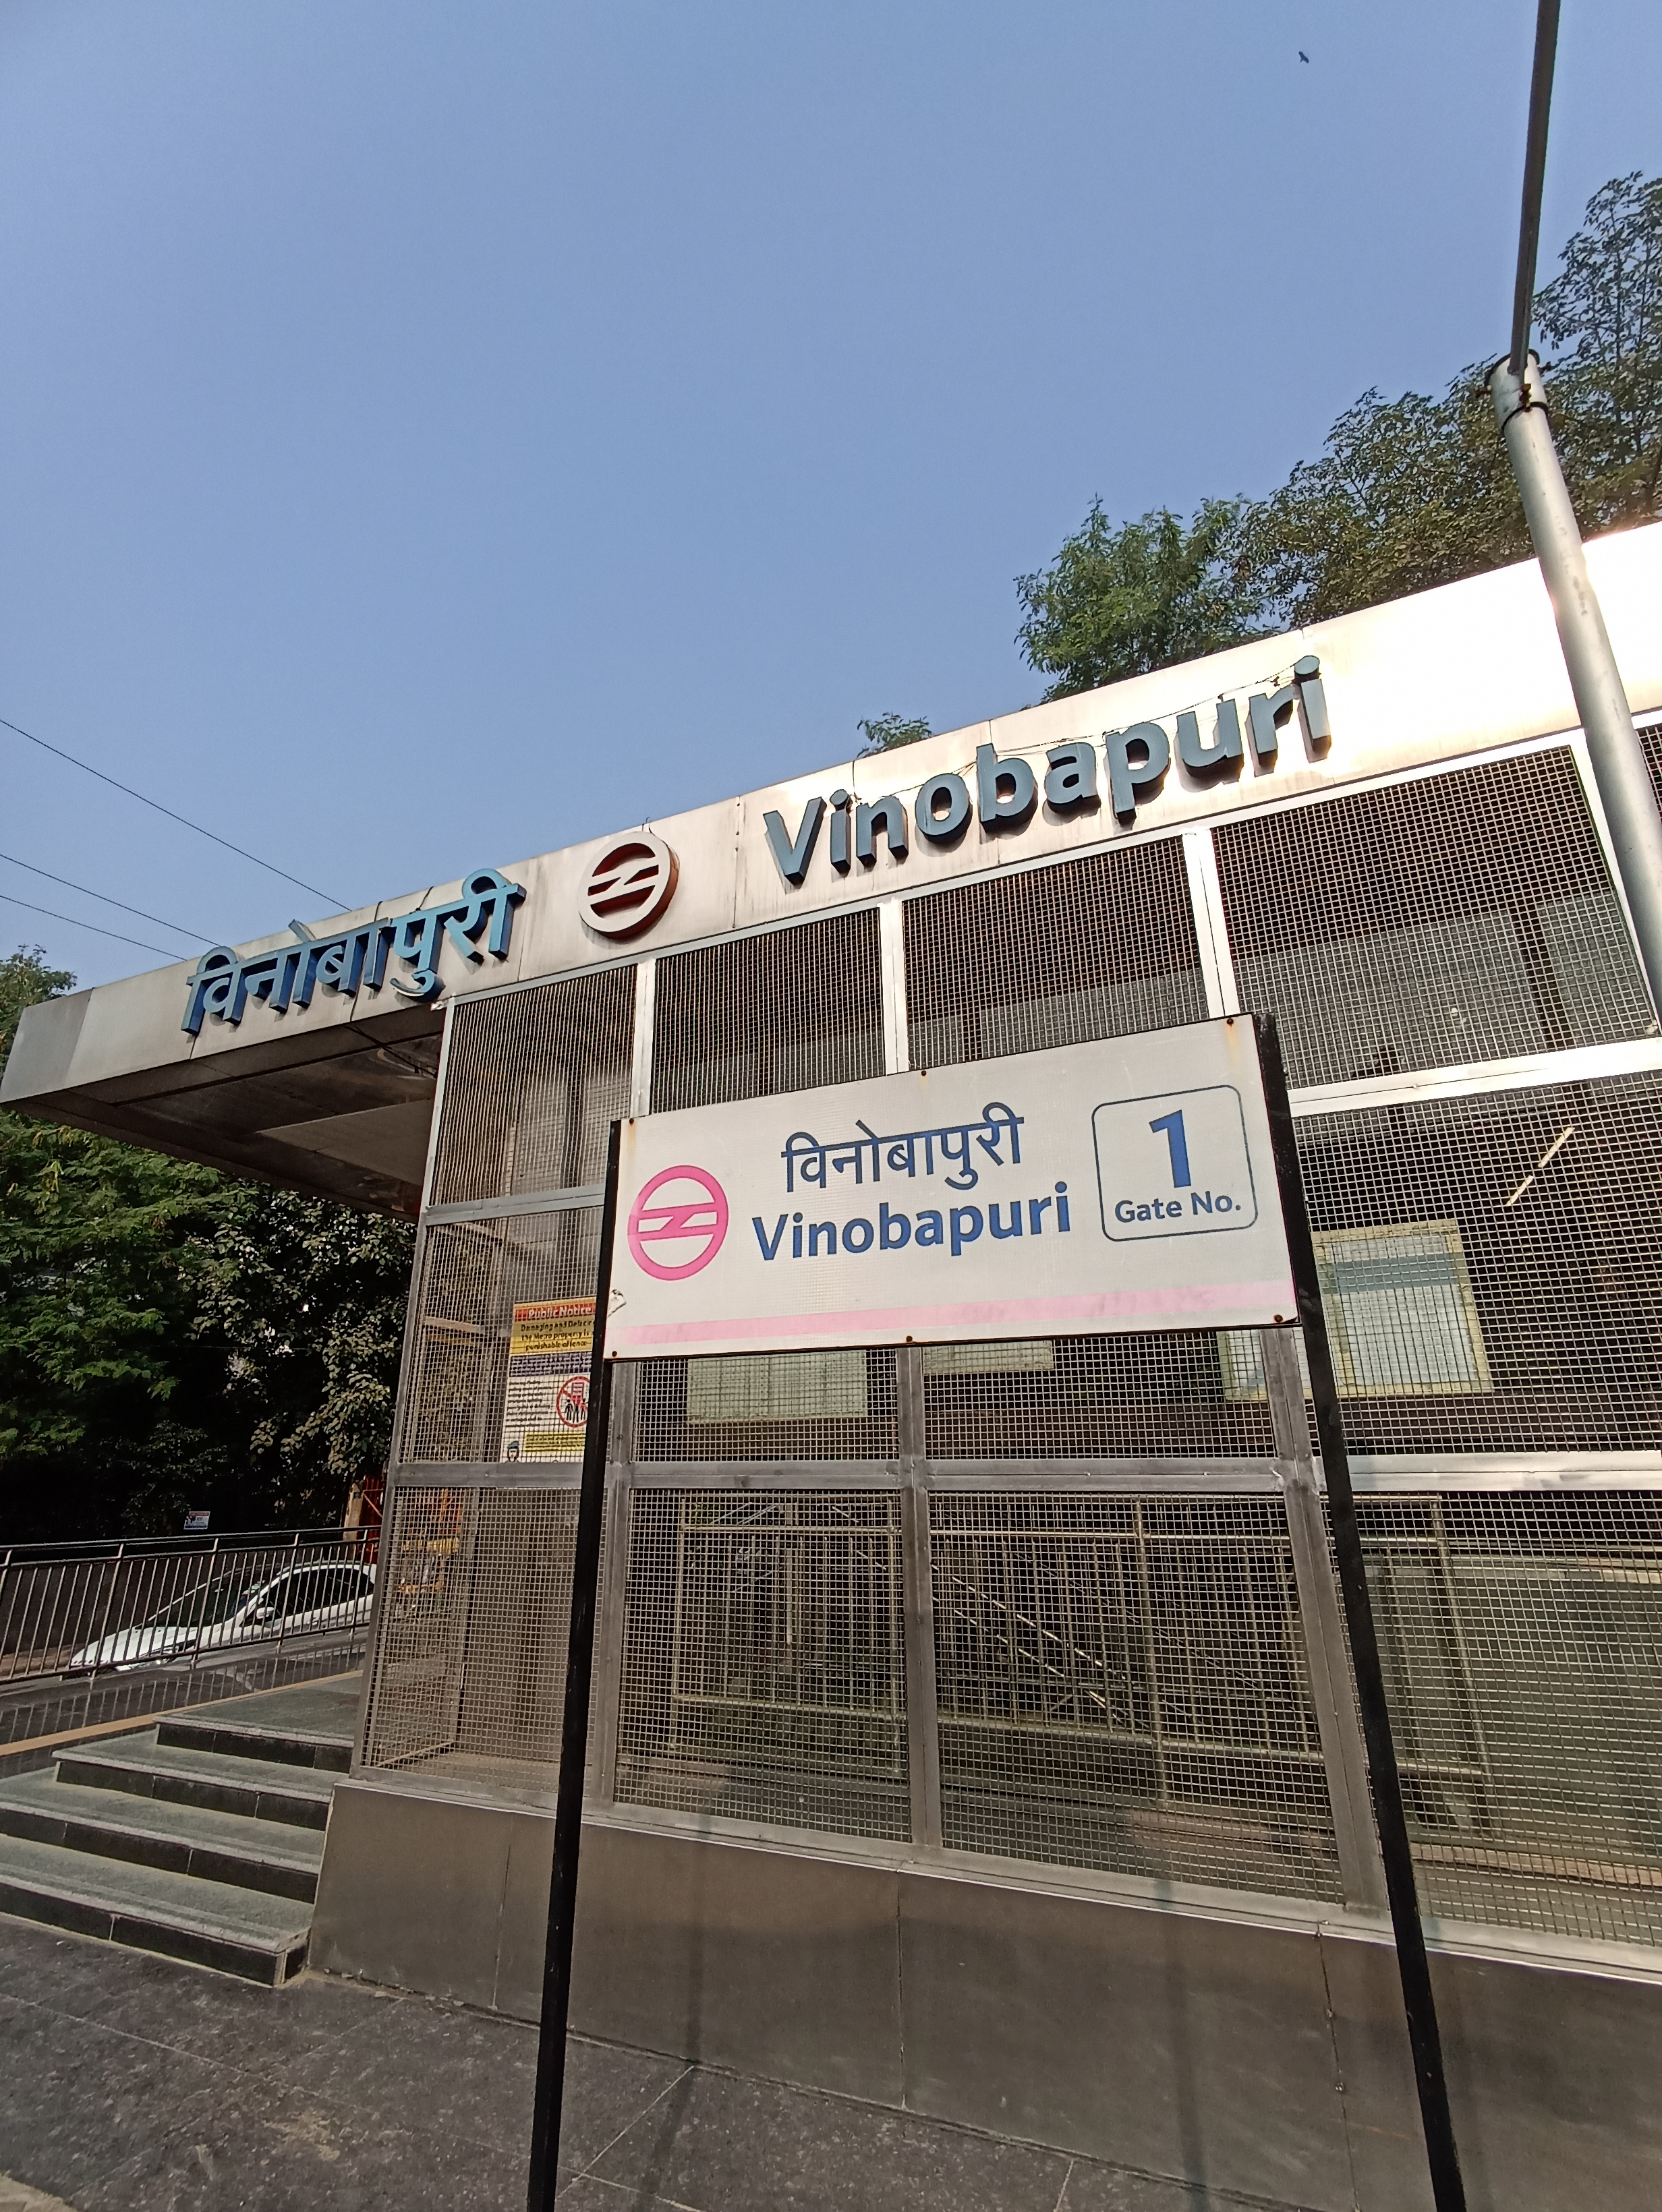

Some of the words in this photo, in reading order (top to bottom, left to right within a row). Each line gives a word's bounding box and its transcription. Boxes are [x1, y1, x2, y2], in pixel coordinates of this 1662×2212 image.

[759, 651, 1344, 890] Vinobapuri
[175, 861, 527, 1041] विनोबापुरी
[774, 1095, 1030, 1198] विनोबापुरी
[751, 1175, 1077, 1265] Vinobapuri
[1110, 1194, 1186, 1234] Gate
[1186, 1184, 1246, 1224] No.